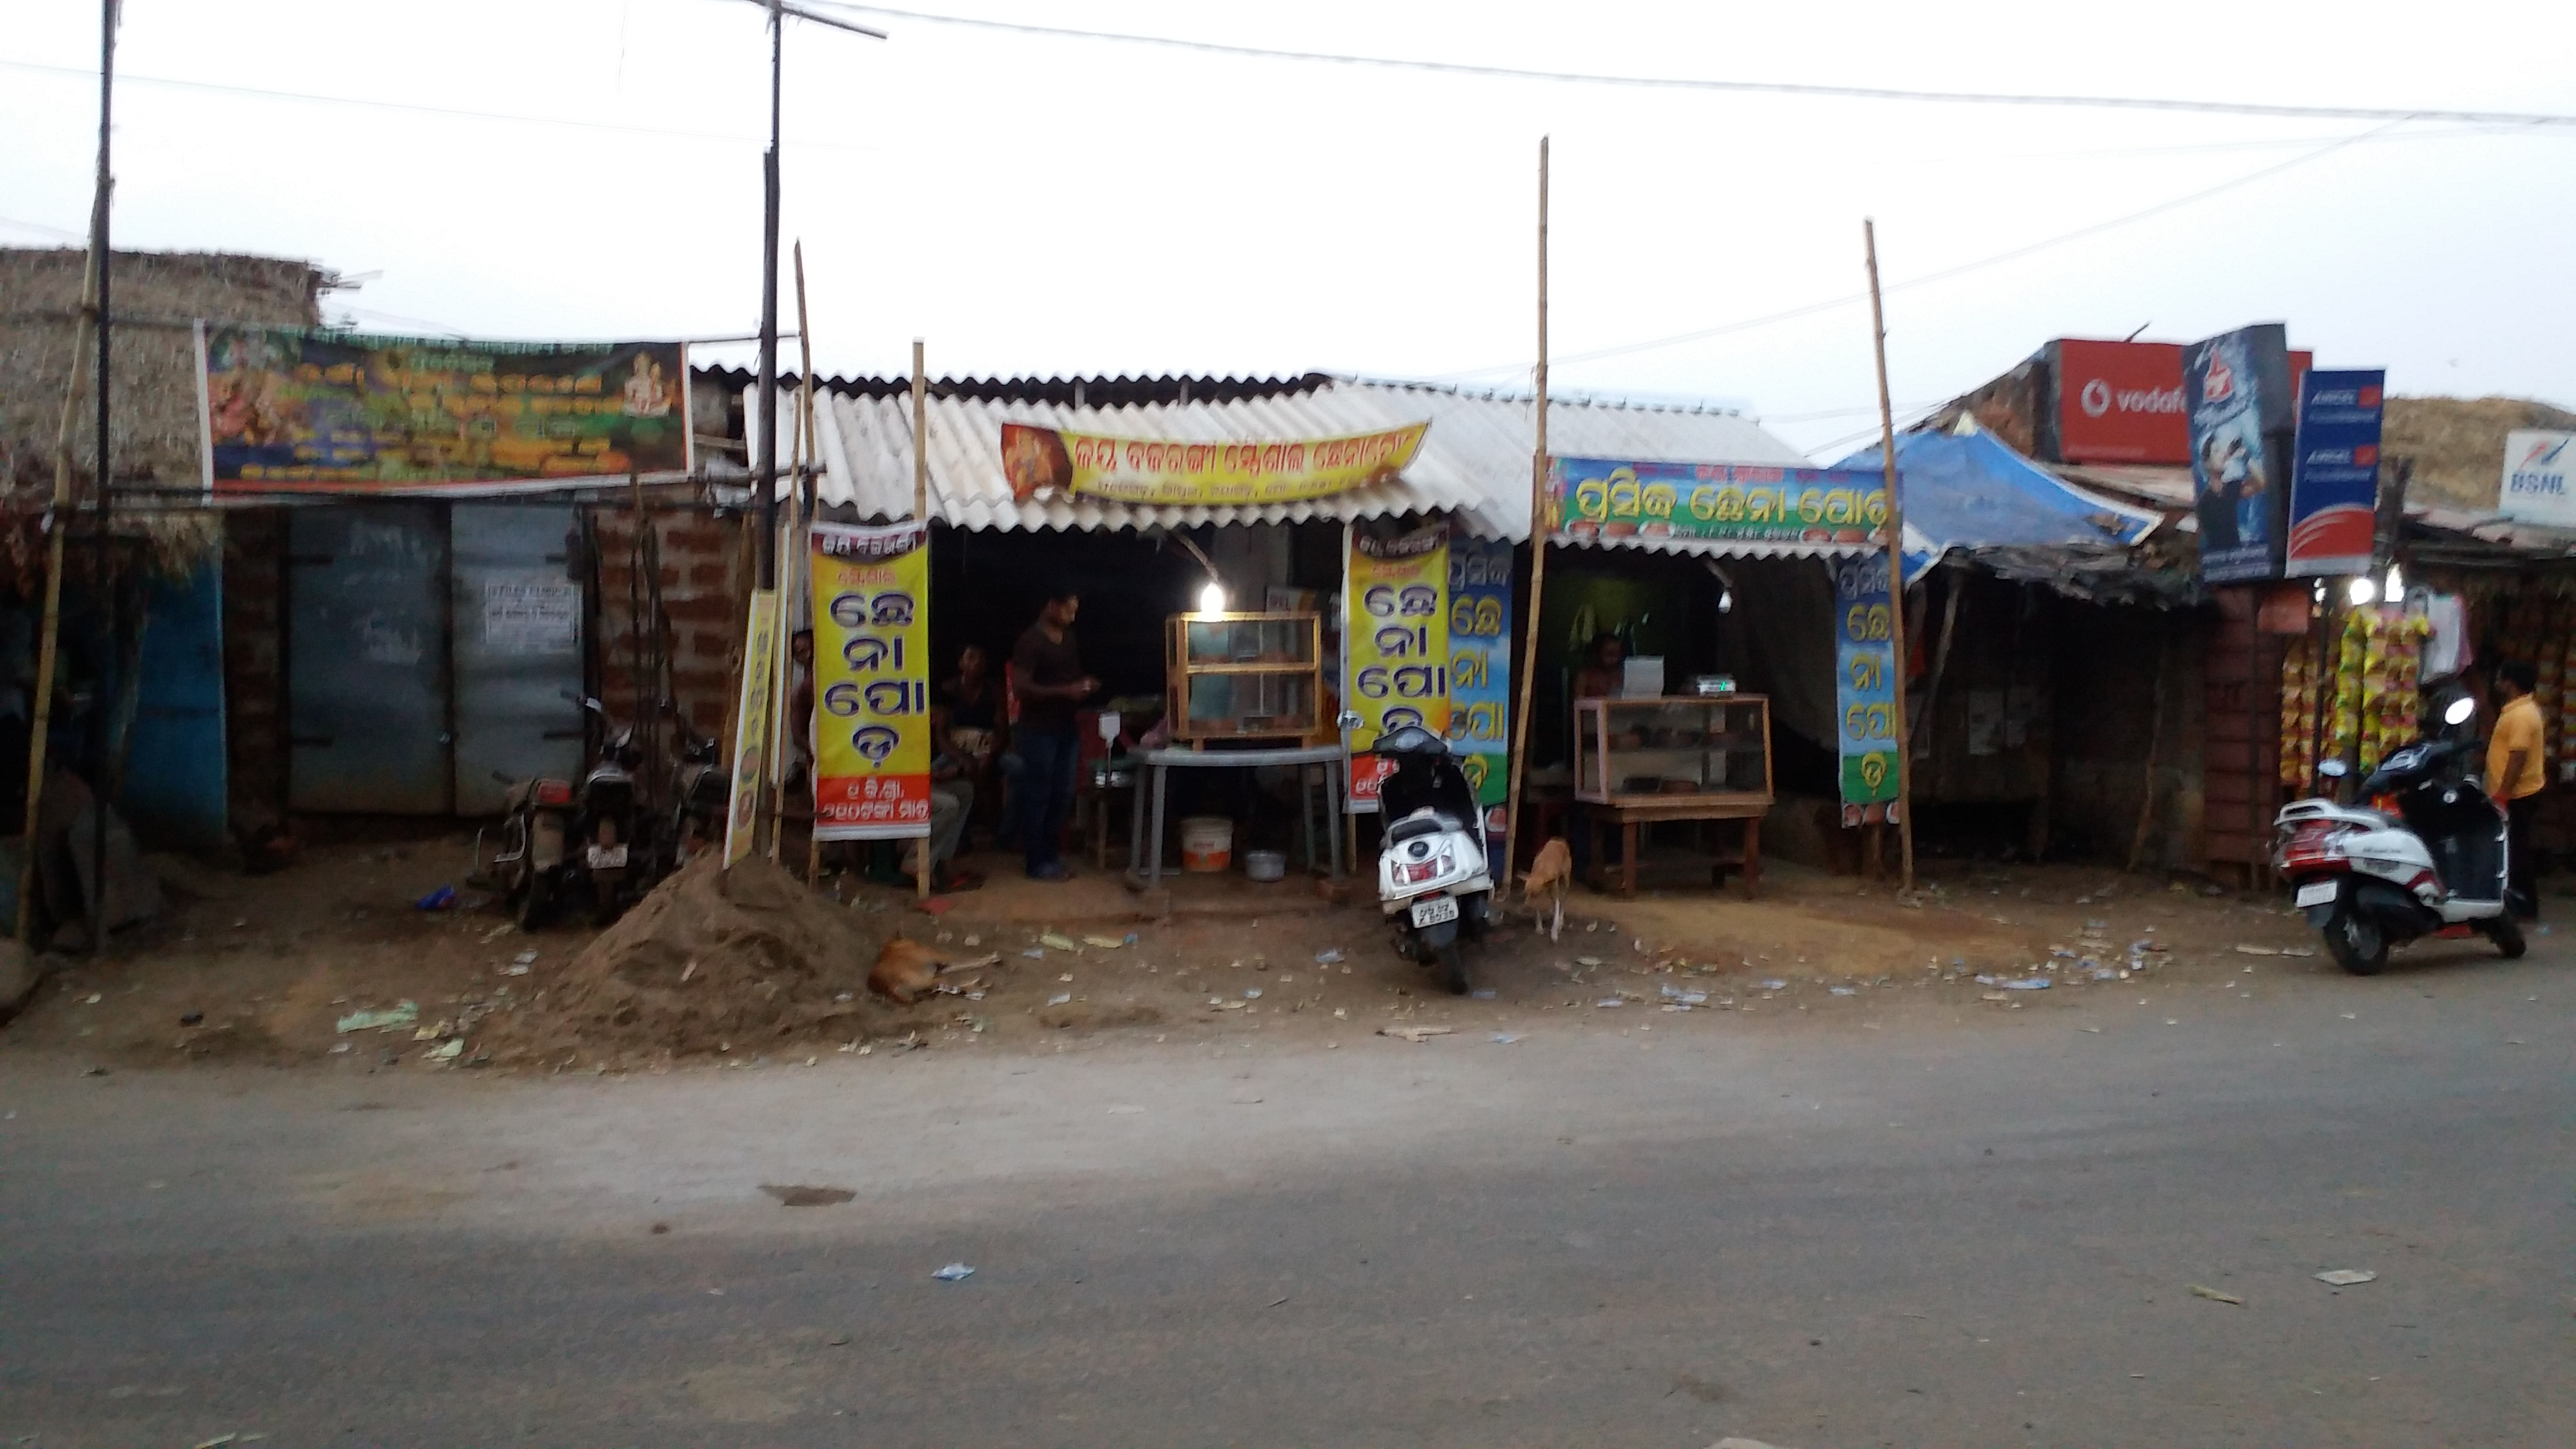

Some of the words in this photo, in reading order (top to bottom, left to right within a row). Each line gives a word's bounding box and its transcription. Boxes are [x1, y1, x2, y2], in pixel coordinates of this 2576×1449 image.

[2111, 383, 2193, 419] vodaf
[1063, 424, 1124, 477] ଜୟ
[1118, 434, 1222, 477] ବଜରଙ୍ଗୀ
[1217, 436, 1310, 482] ସ୍ପେଶାଲ
[1569, 456, 1684, 525] ପ୍ରସିଦ୍ଧ
[1687, 476, 1788, 530] ଛେନା
[1790, 481, 1900, 534] ପୋତ
[2502, 469, 2567, 499] BSNL
[822, 583, 919, 631] ଛେ
[837, 628, 914, 681] ନା
[821, 676, 930, 721] ପୋ
[846, 717, 905, 775] ତ଼
[1356, 571, 1443, 623] ଛେ
[1349, 661, 1450, 705] ପୋ
[1370, 616, 1435, 663] ନା
[1445, 648, 1494, 692] ନା
[1442, 585, 1506, 642] ଛେ
[1839, 648, 1888, 698] ନା
[1839, 600, 1896, 648] ଛେ
[1836, 695, 1906, 747] ପୋ
[1848, 746, 1898, 799] ଡ଼